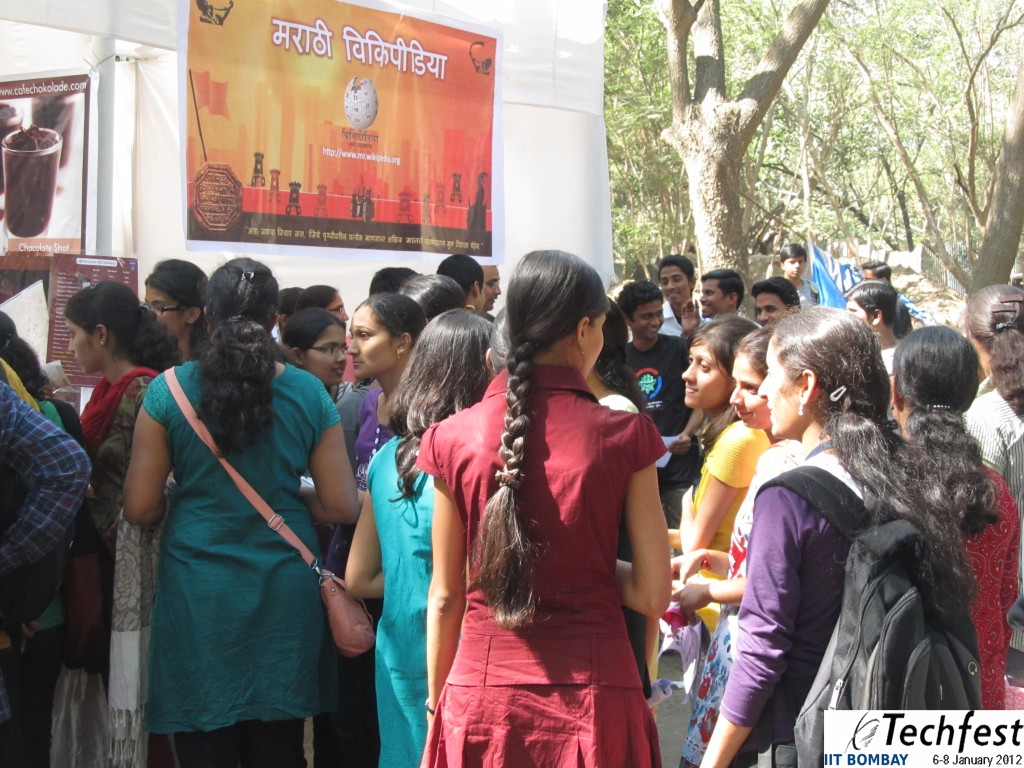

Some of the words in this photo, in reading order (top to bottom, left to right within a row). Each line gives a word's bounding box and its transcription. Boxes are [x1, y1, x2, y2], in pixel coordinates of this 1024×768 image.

[265, 10, 335, 63] मराठी
[336, 18, 453, 85] विकिपीडिया
[335, 123, 384, 149] विकिपीडिया
[317, 145, 405, 168] http://www.mr.wikipedia.org
[883, 701, 1024, 757] Techfest
[817, 748, 847, 768] IIT
[841, 748, 908, 766] BOMBAY
[927, 750, 998, 768] 6-8January
[991, 748, 1024, 768] 2012